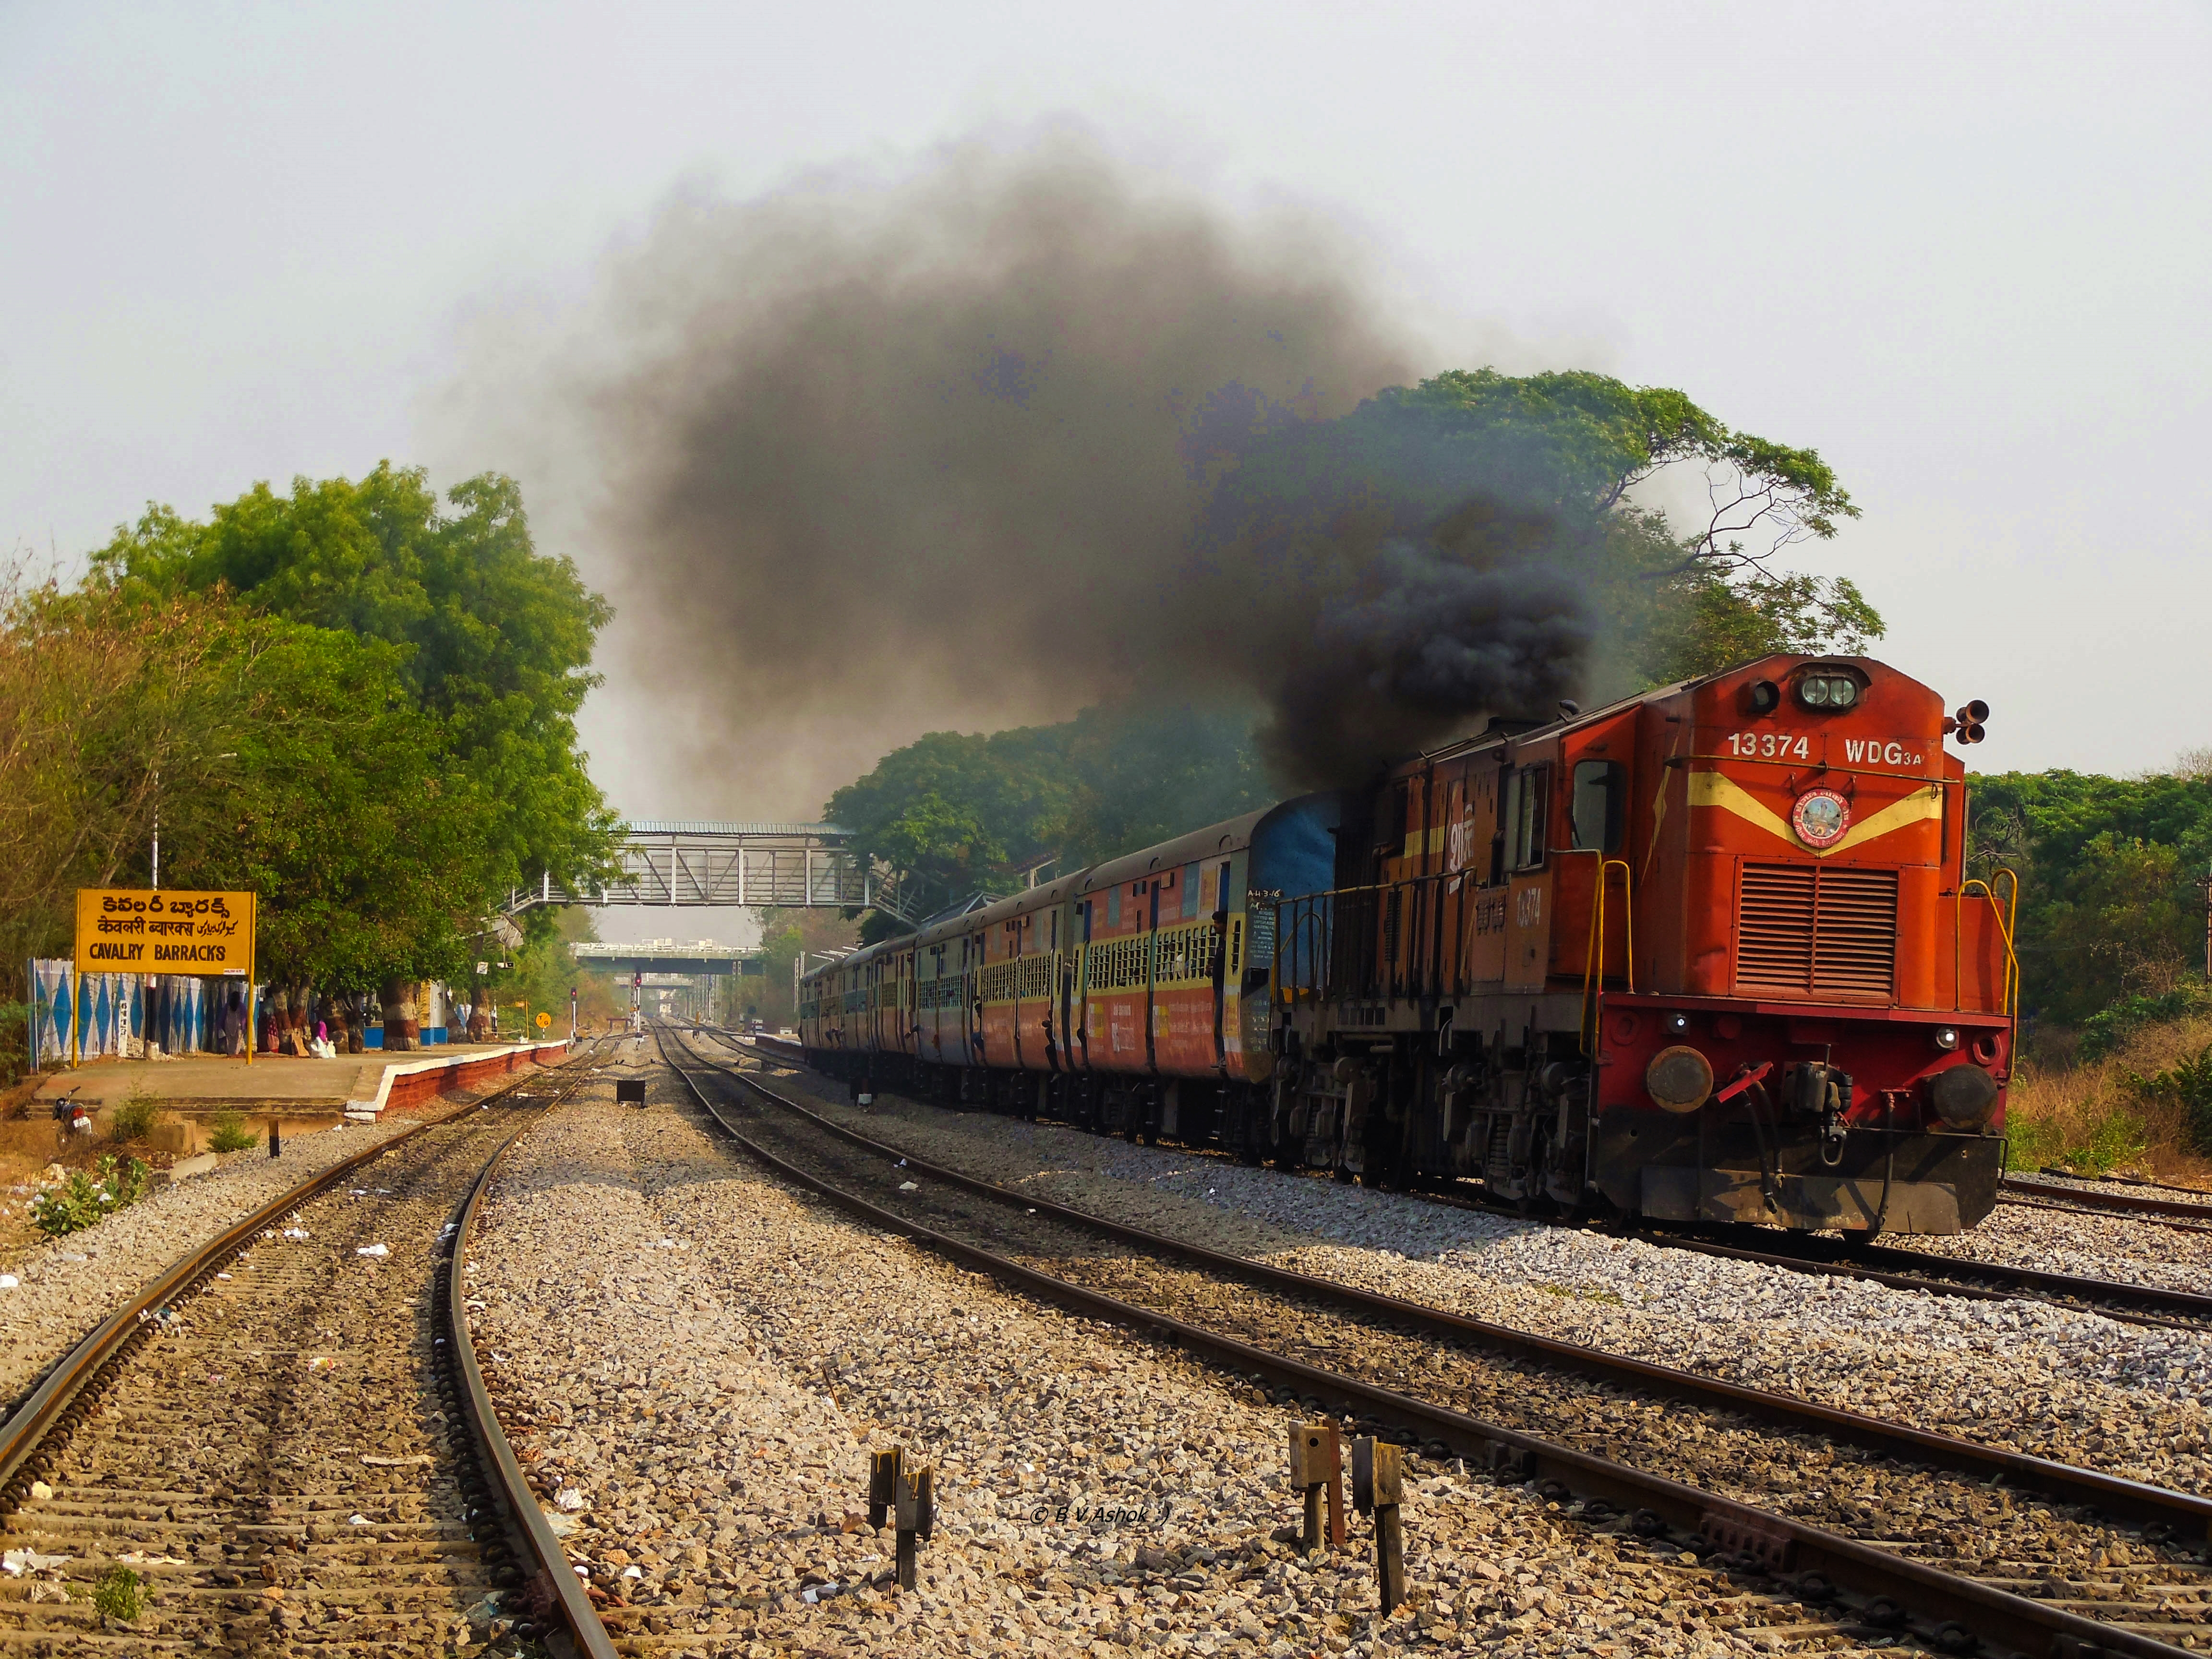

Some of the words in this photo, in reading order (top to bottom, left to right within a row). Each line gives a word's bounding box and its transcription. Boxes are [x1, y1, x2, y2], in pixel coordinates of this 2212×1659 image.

[1725, 731, 1811, 761] 13374
[1841, 737, 1904, 768] WDG
[1792, 788, 1819, 814] डीजल
[1817, 787, 1846, 808] लोको
[99, 891, 165, 914] కెవలరీ
[168, 893, 233, 921] బ్యరక్స్
[95, 912, 148, 935] केवलरी
[148, 918, 196, 939] ब्वारक्स
[87, 938, 147, 962] CAVALRY
[151, 942, 228, 964] BARRACKS